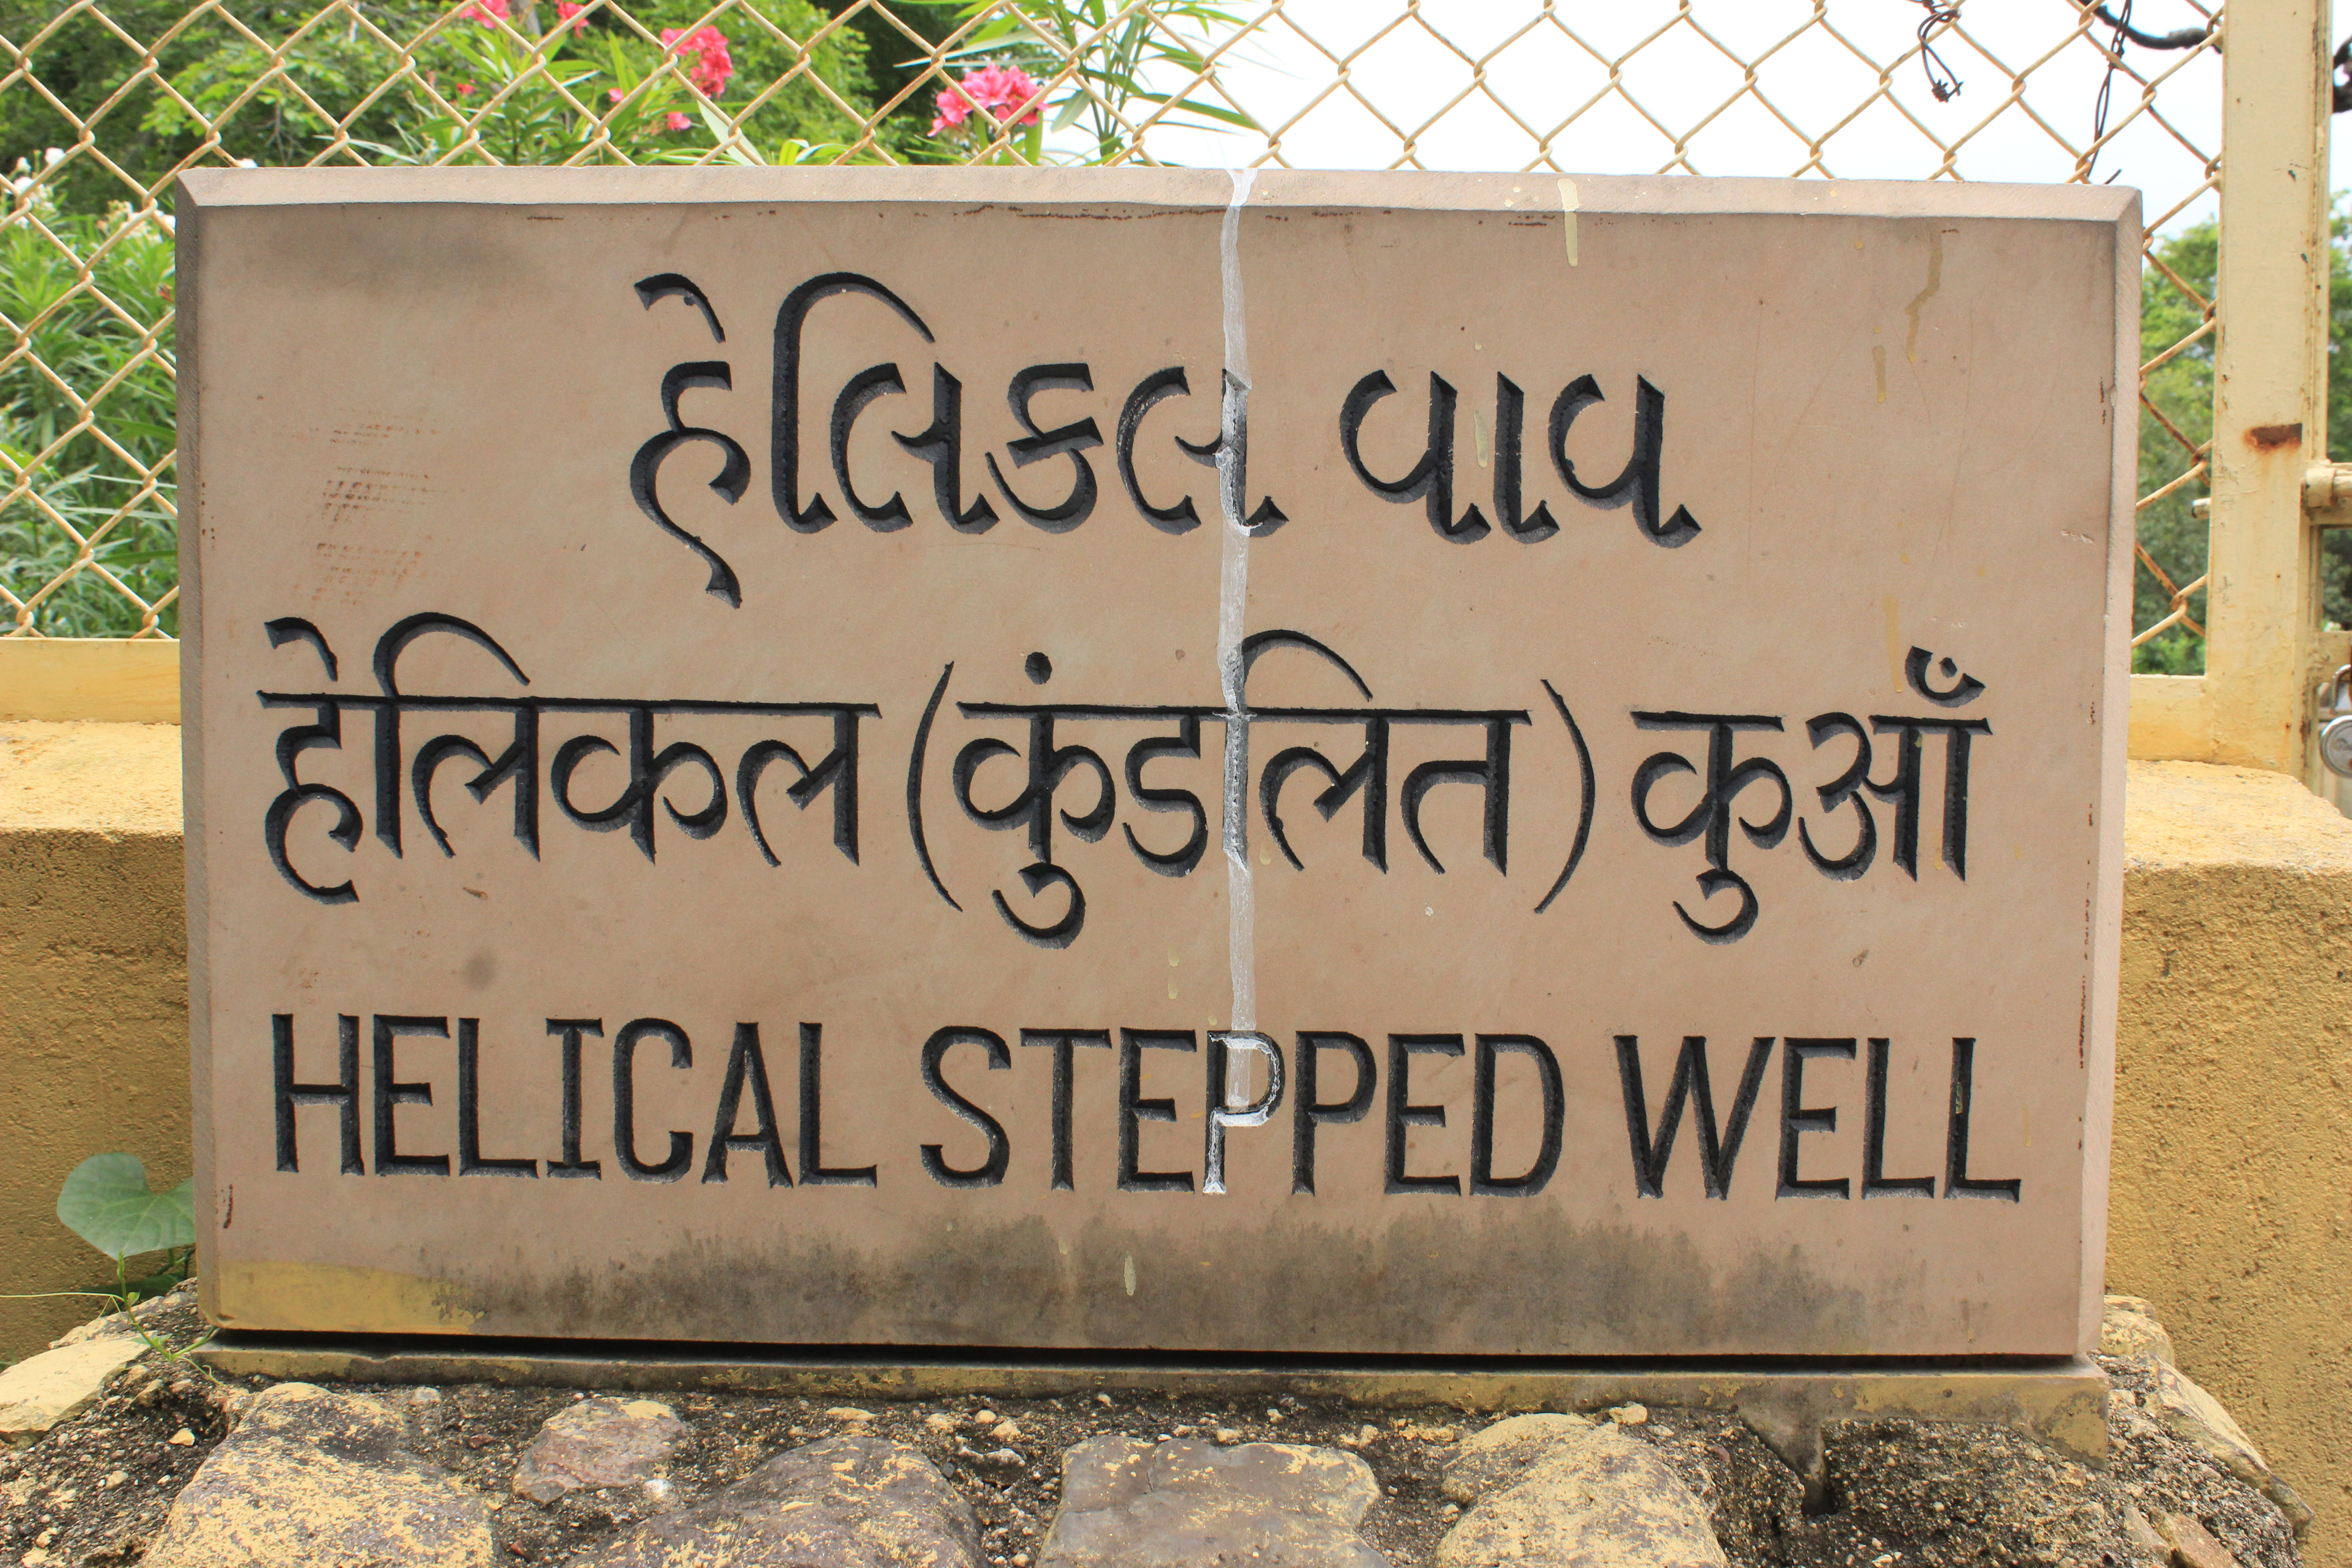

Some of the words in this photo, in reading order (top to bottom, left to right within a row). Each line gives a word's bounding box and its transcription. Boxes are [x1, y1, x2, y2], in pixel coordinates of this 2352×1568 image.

[609, 261, 1317, 624] હેલિકલ
[1324, 328, 1716, 559] વાવ
[244, 600, 895, 923] हेलिकल
[936, 614, 1546, 960] कुंडलित
[1609, 642, 2005, 972] कुआँ
[249, 1007, 888, 1205] HELICAL
[904, 1016, 1568, 1221] STEPPED
[1603, 1011, 2042, 1236] WELL